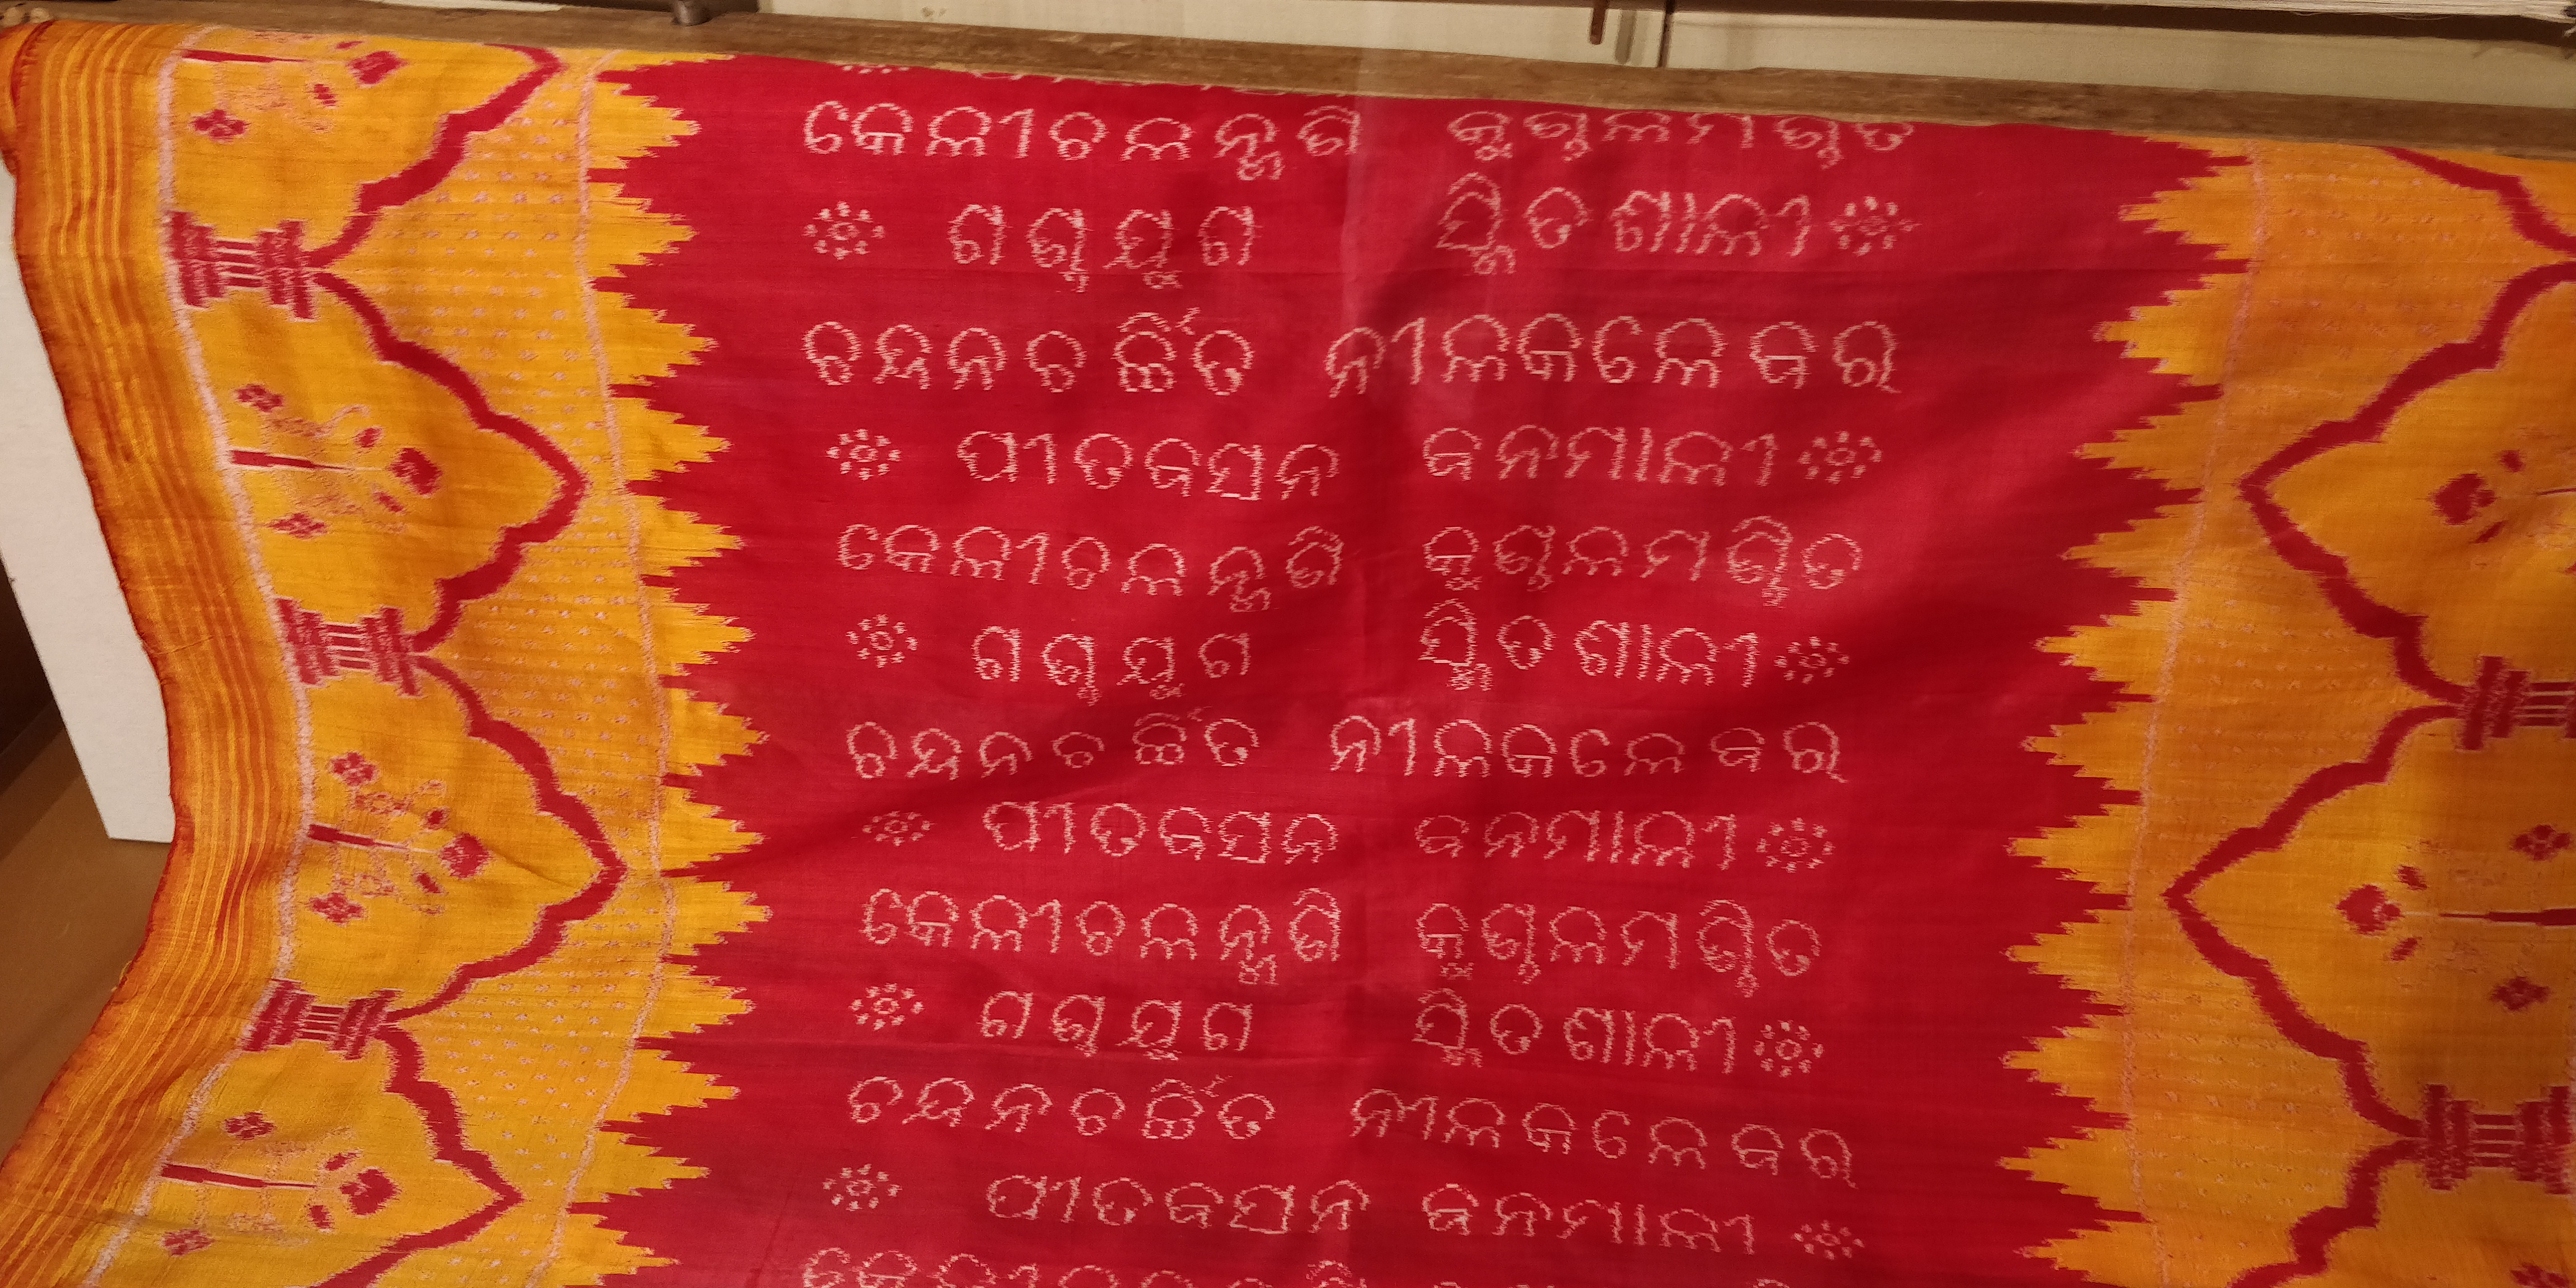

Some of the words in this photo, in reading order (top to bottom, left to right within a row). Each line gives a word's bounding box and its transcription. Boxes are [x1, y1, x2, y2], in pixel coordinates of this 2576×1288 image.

[1432, 100, 1919, 176] କ୍ରୁଗ୍ନଳମକୃତ
[939, 192, 1262, 300] ଗ ଗ୍ବ ଯୁ ଗ
[1427, 162, 1820, 282] ସ୍ଟିତ ଶାଳୀ
[794, 300, 1265, 404] ଚନ୍ଦନ ଚର୍ଚ୍ଚିତ
[1313, 304, 1907, 402] ନୀଳକଳେବର
[946, 421, 1352, 510] ପୀତବସନ
[1413, 418, 1790, 500] ଜନମାଳୀ
[830, 513, 1350, 622] କେଳୀଚଳ ନୃତି
[1413, 505, 1874, 613] କୁମ୍ଭଳମଗ୍ନିତ
[967, 618, 1259, 710] ଗ ଗ୍ନ ଯୂ ଗ
[1410, 588, 1765, 700] ସ୍ନିତ ଶାଳୀ
[832, 700, 1263, 785] ଚନ୍ଦନ ଚର୍ଚ୍ଚିତ
[1310, 708, 1851, 790] ନୀଳକଳେବର
[974, 795, 1344, 871] ପୀତବସନ
[1407, 808, 1744, 877] ବନମାଳୀ
[855, 877, 1356, 991] କେନ୍ଦୀଚଳନ୍ତ୍ରିତି
[1402, 891, 1832, 1006] କୁମ୍ଭଳମଗ୍ନିତ
[965, 987, 1256, 1071] ଗ ଘ୍ର ଯୁ ଗ
[1400, 978, 1743, 1085] ୟିତ ଶାଳୀ
[834, 1068, 1282, 1149] ଚନ୍ଦନ ଚର୍ଚ୍ଚିତ
[1346, 1078, 1866, 1198] ନୀଳକଳେବର
[972, 1167, 1384, 1238] ପୀତବସନ
[1414, 1169, 1764, 1265] ଜନମାଳୀ